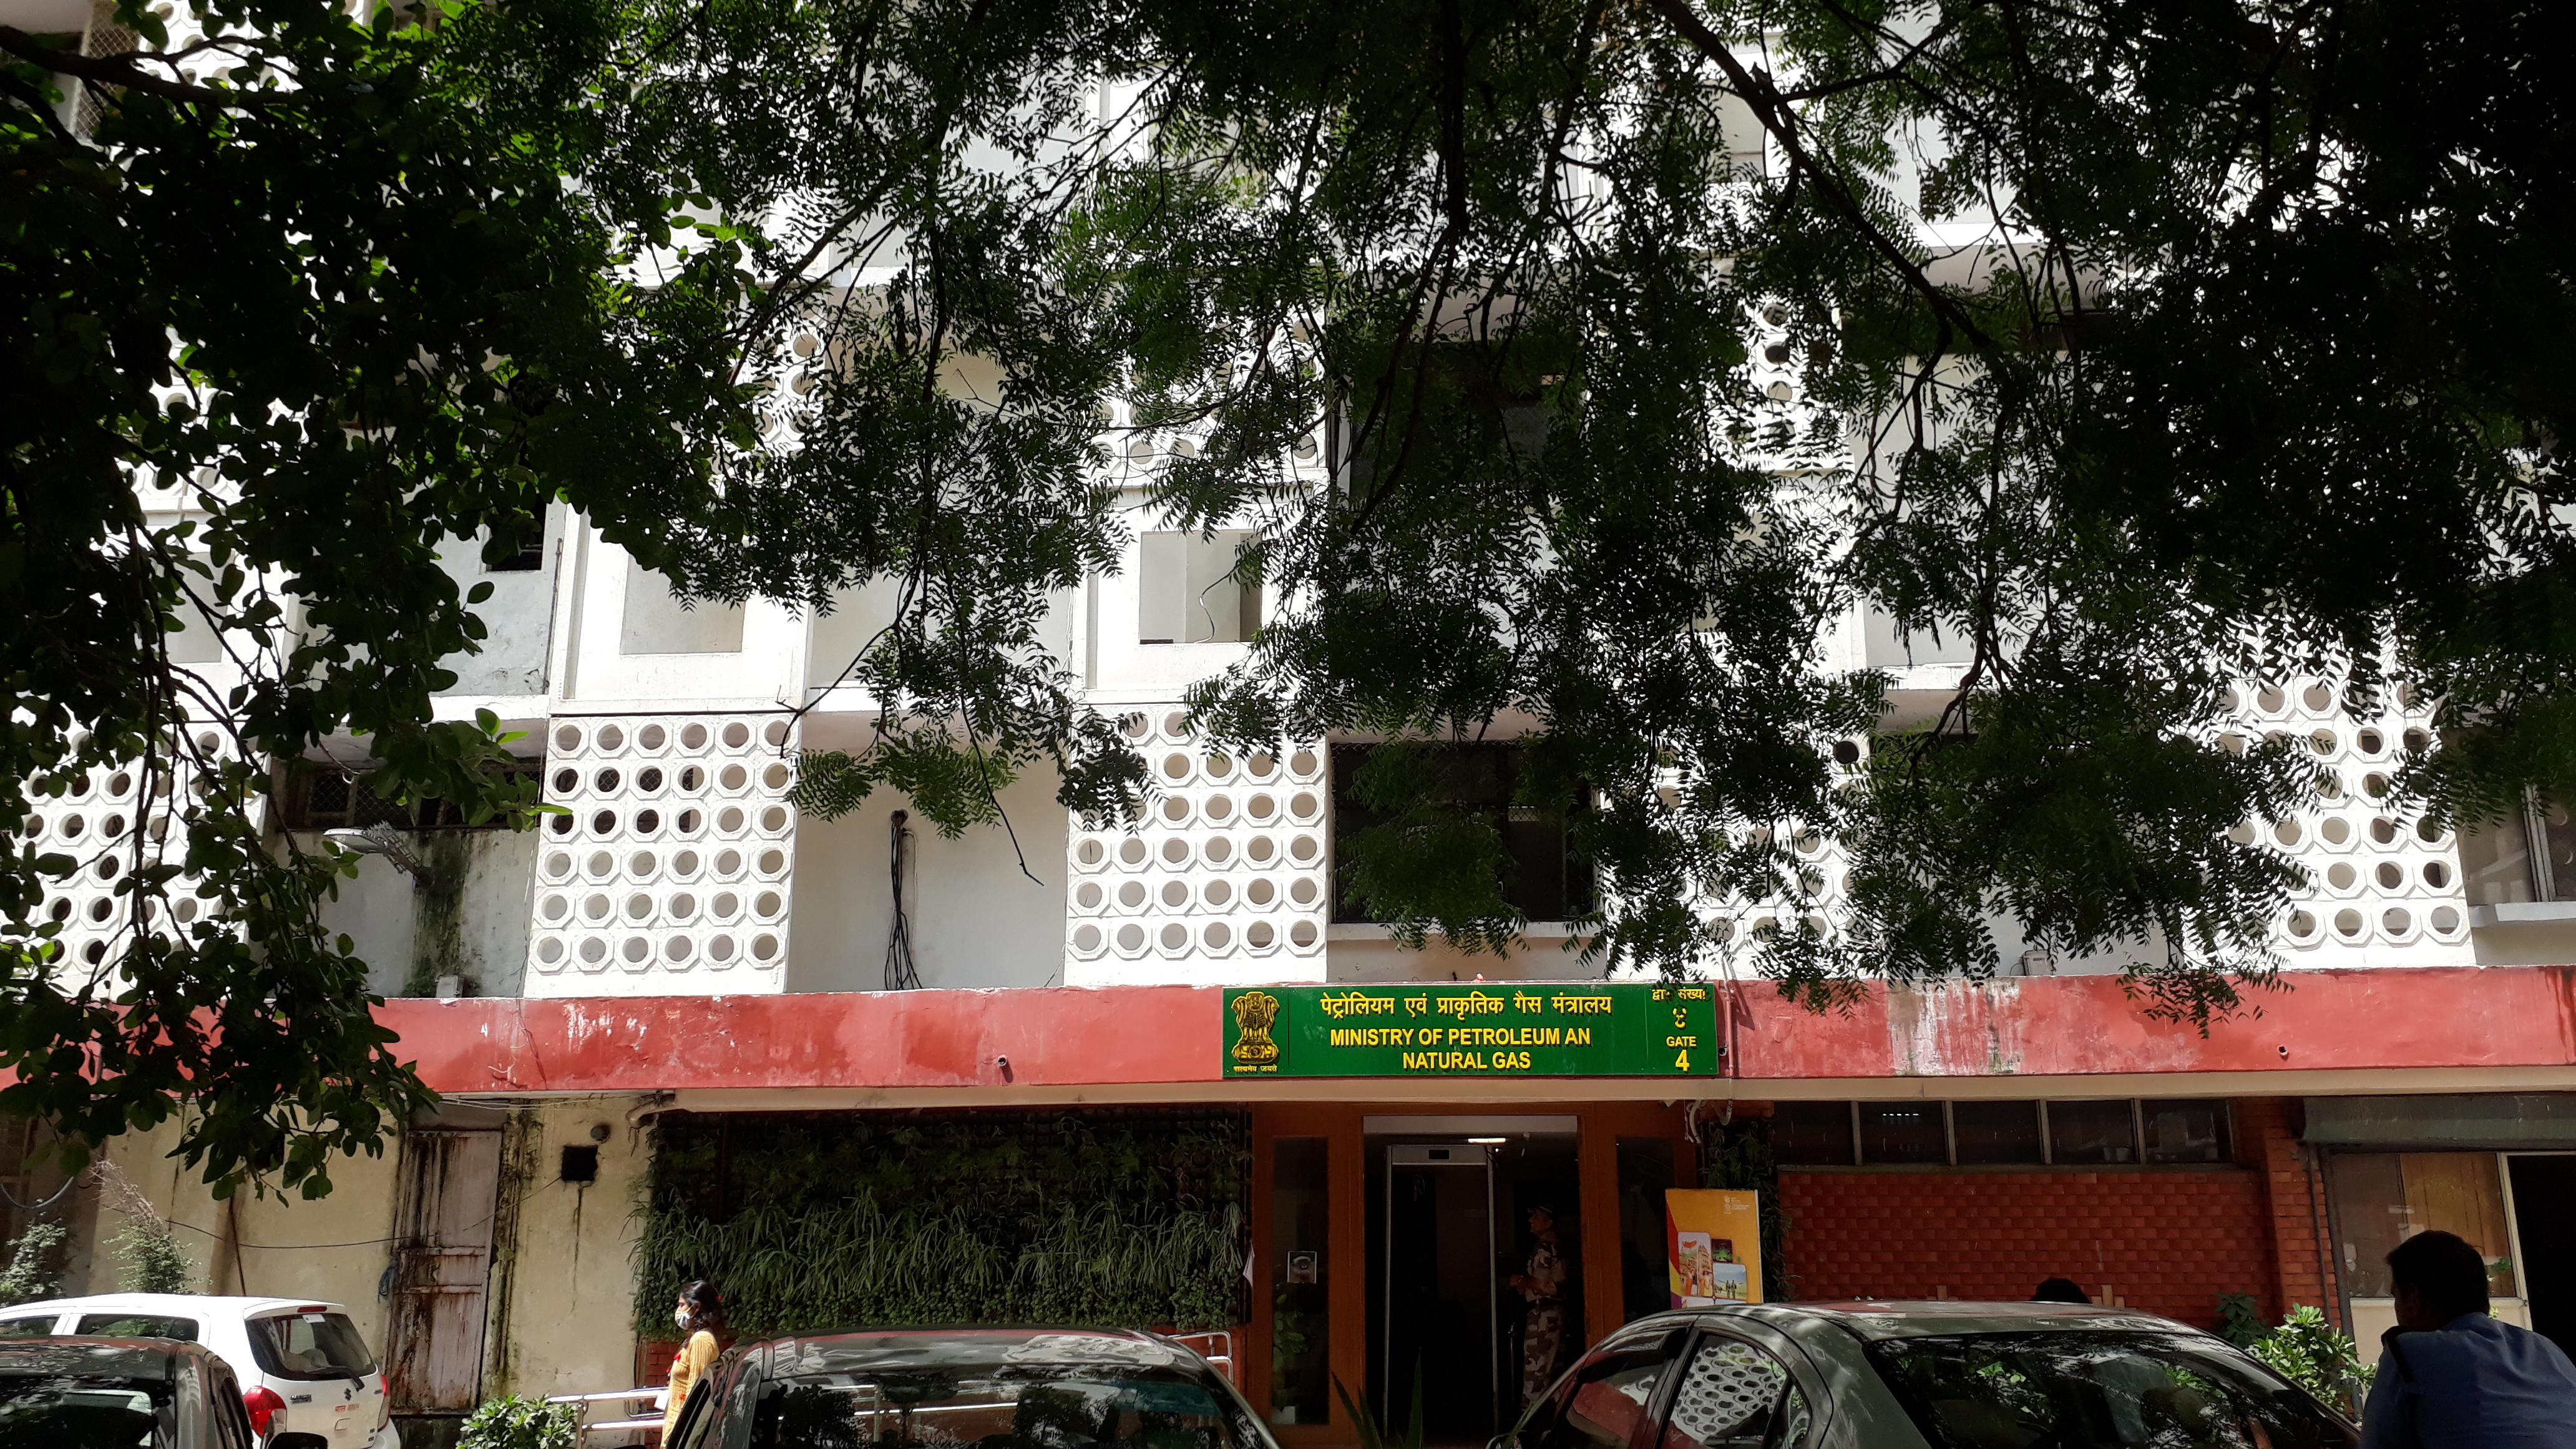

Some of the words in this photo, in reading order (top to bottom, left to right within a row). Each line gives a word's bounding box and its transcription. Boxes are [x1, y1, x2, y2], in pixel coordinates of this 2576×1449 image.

[1317, 988, 1397, 1022] पेट्रोलियम
[1402, 990, 1428, 1021] एवं
[1435, 987, 1507, 1023] प्राकृतिक
[1508, 987, 1545, 1015] गैस
[1550, 985, 1615, 1015] मंत्रालय
[1650, 988, 1675, 1003] द्वा.
[1675, 983, 1709, 1002] संख्या
[1329, 1028, 1416, 1048] MINISTRY
[1416, 1027, 1445, 1047] OF
[1447, 1026, 1562, 1048] PETROLEUM
[1563, 1025, 1594, 1046] AN
[1664, 1034, 1699, 1050] GATE
[1231, 1062, 1259, 1074] सत्यमेव
[1257, 1063, 1279, 1073] जयते
[1402, 1049, 1489, 1070] NATURAL
[1488, 1048, 1533, 1072] GAS
[1672, 1048, 1693, 1073] 4